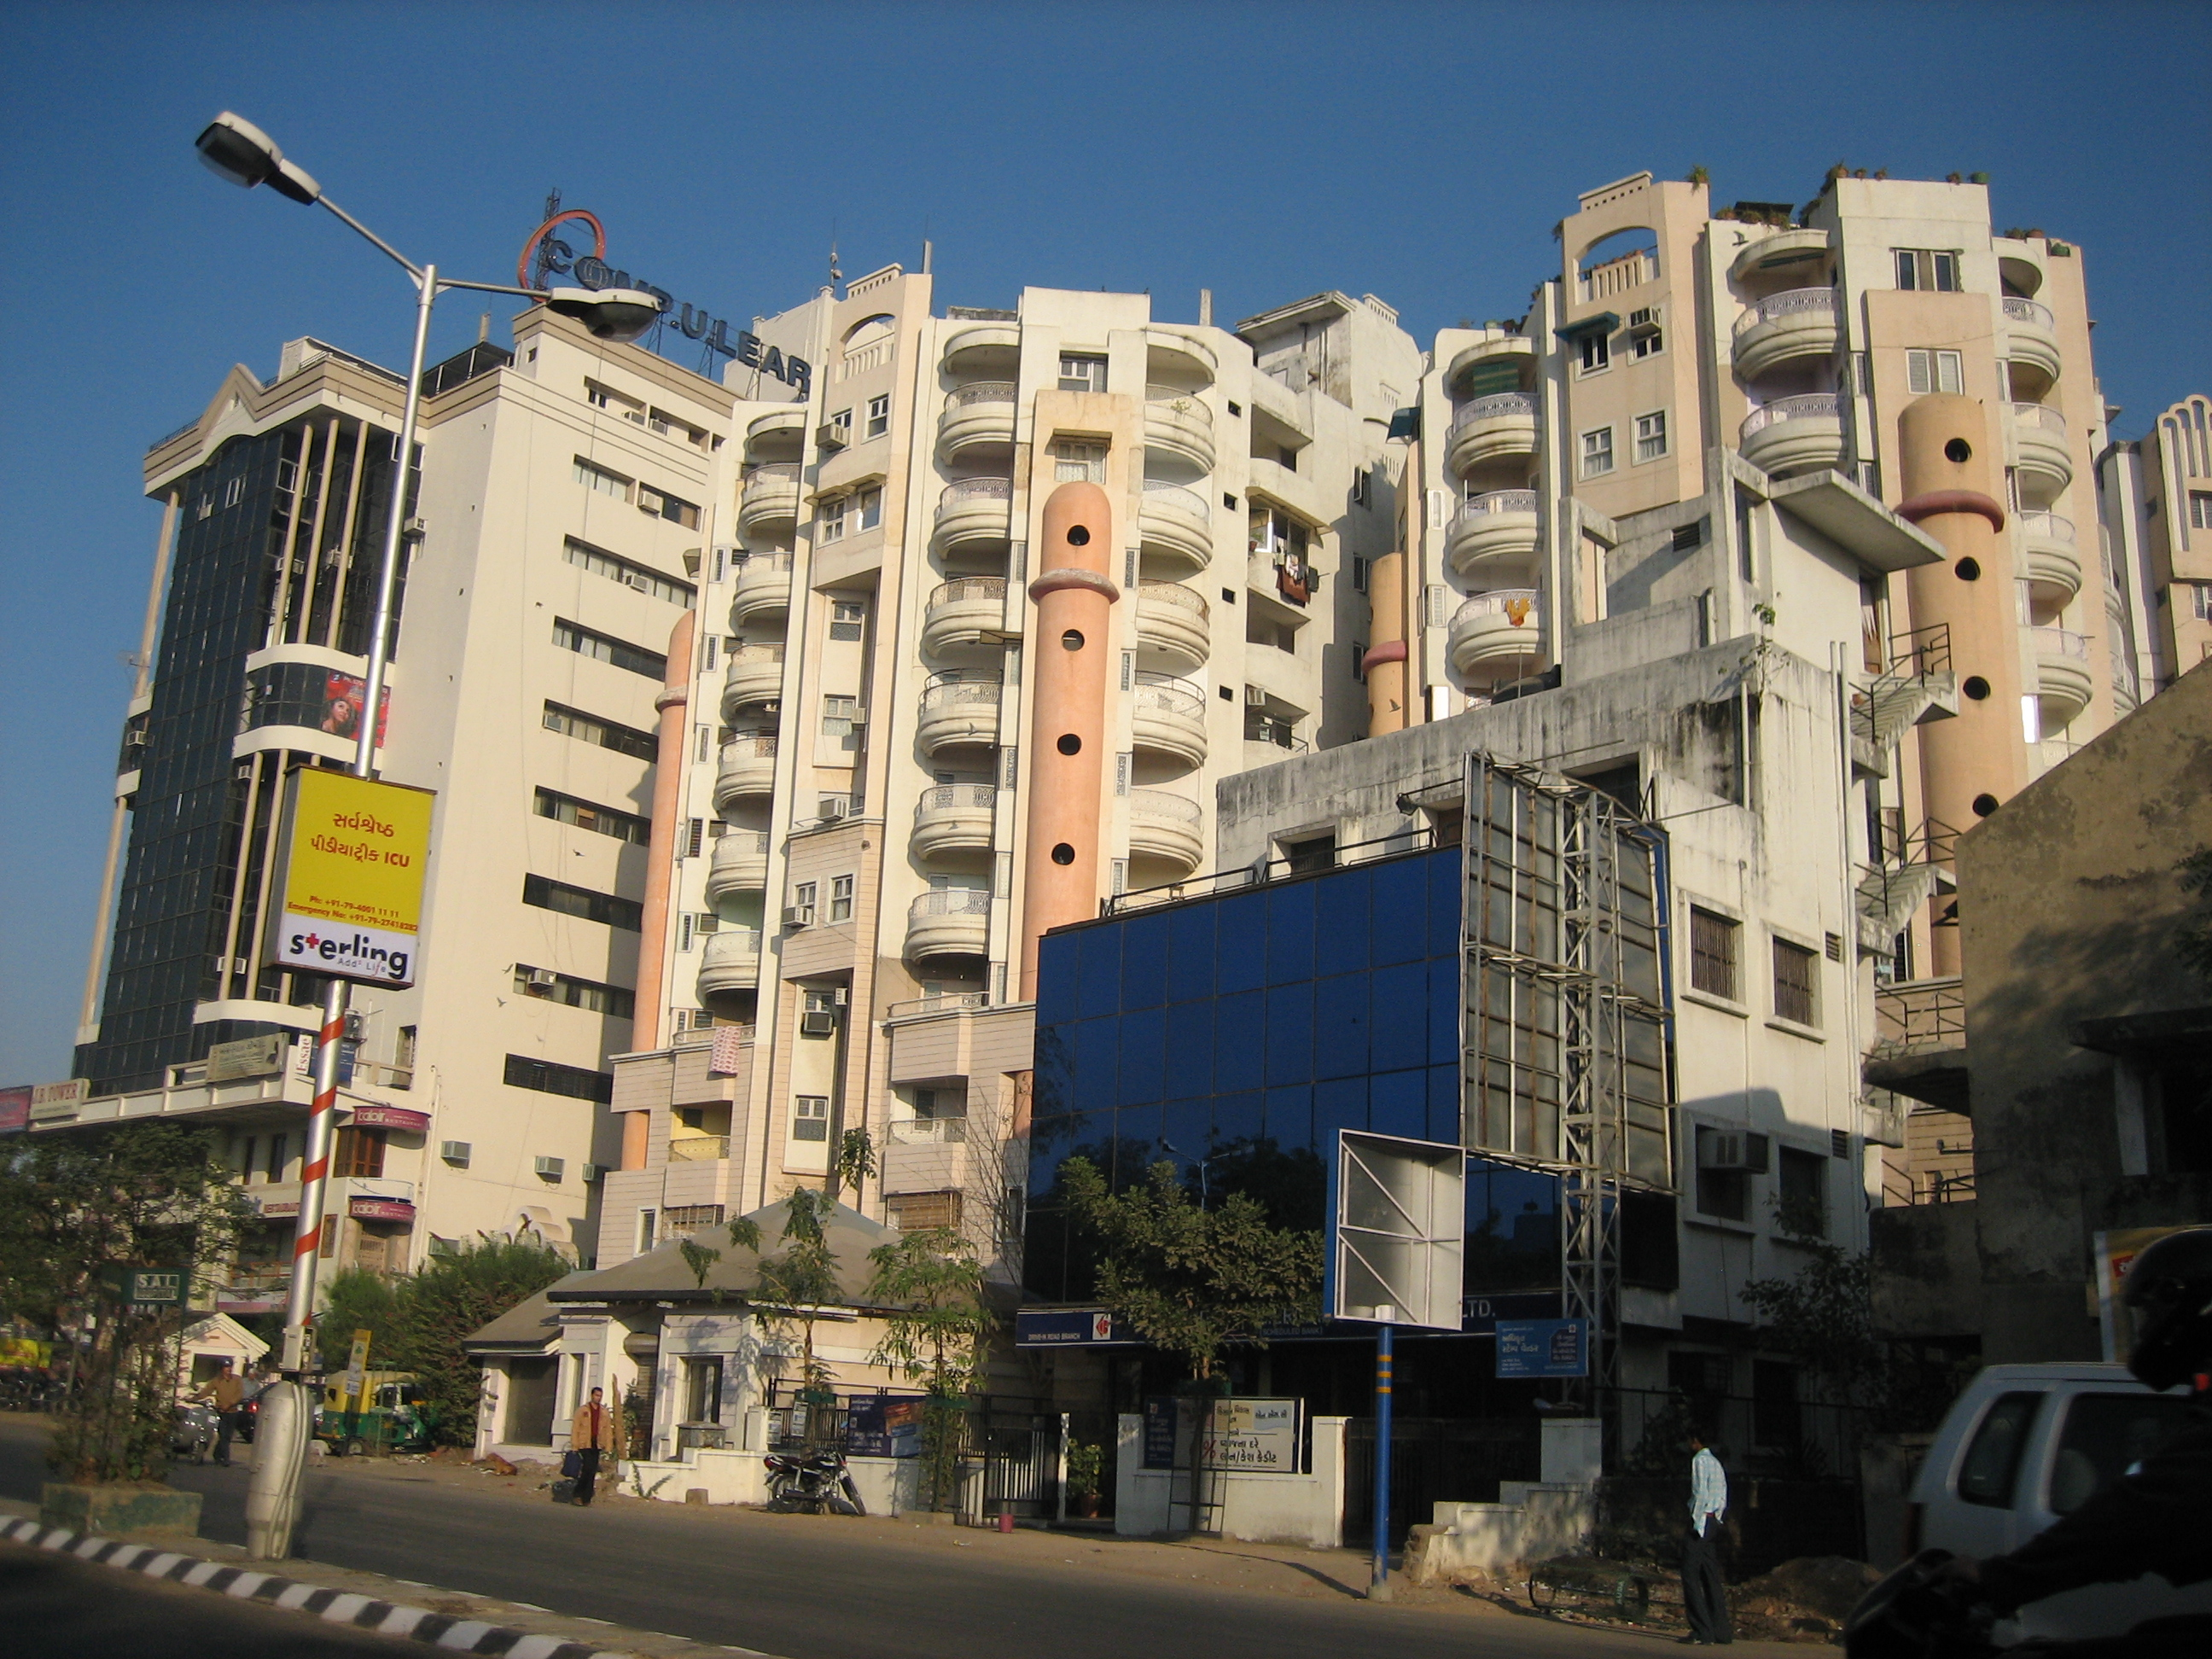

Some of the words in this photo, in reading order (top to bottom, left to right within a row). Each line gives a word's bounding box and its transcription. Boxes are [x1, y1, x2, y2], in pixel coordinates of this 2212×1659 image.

[335, 812, 366, 829] સર્વ
[306, 832, 370, 864] ૫ીડીયાટ્રી
[386, 850, 406, 865] CL
[285, 931, 350, 958] ster